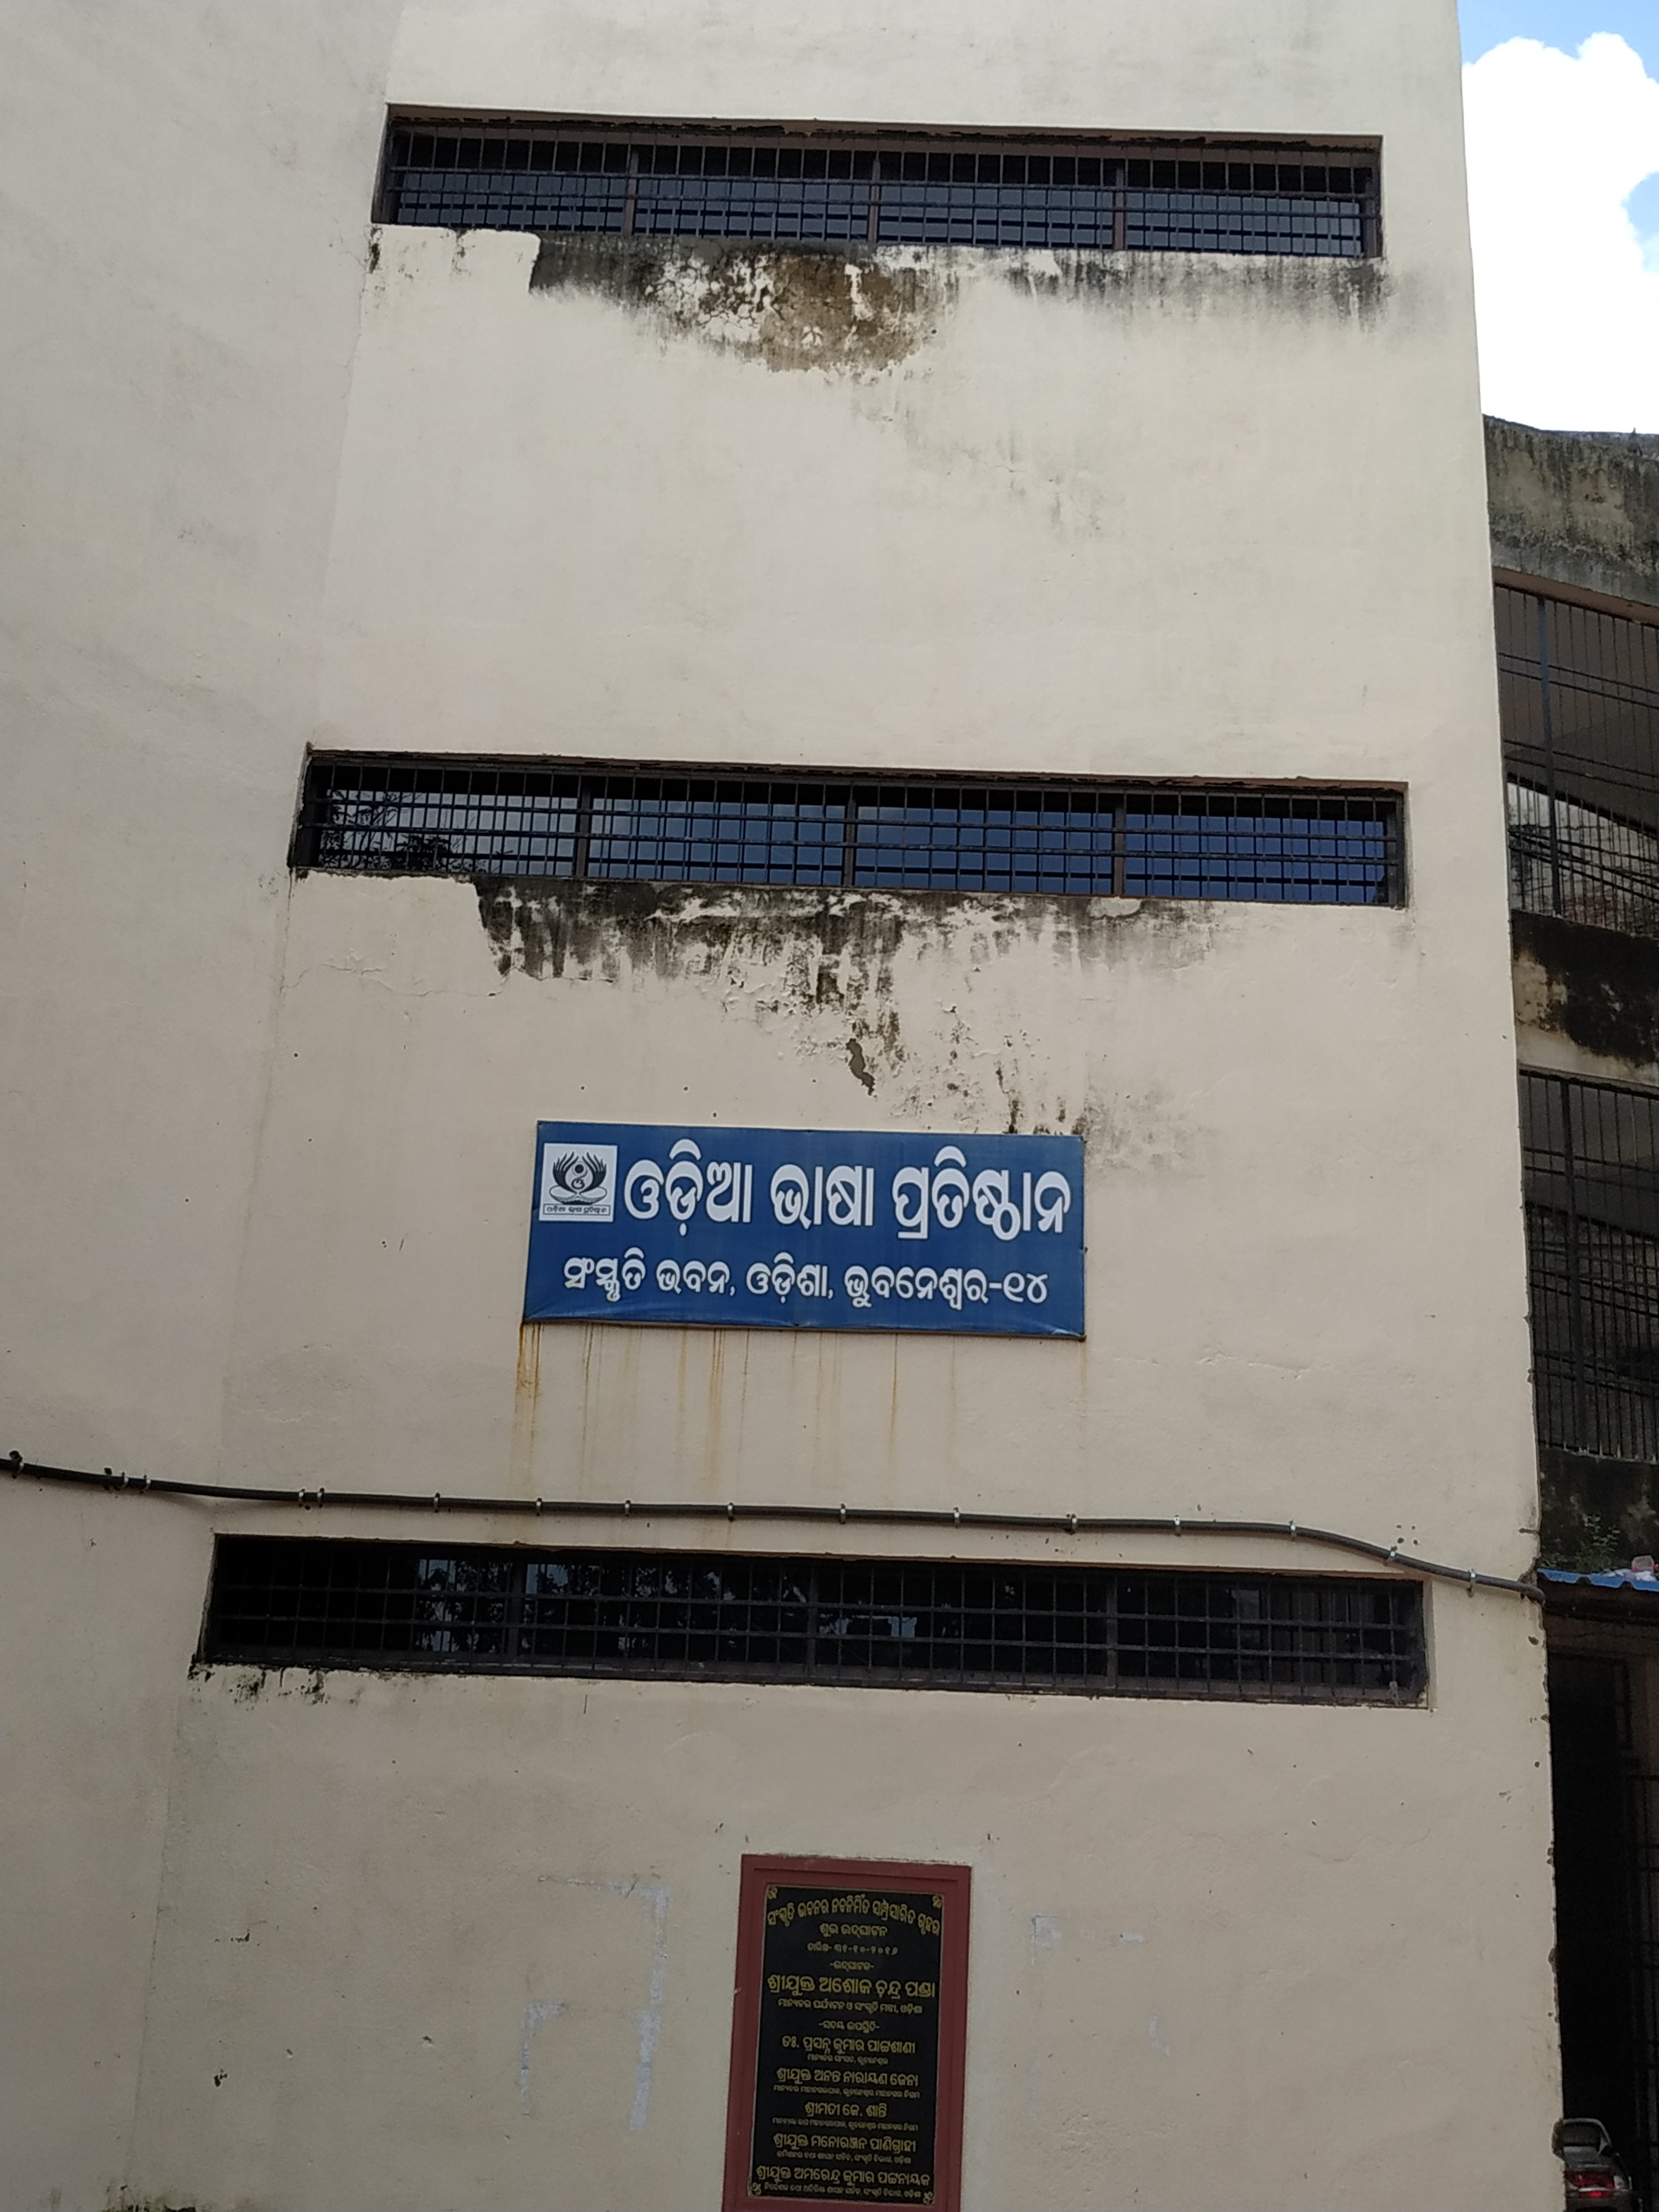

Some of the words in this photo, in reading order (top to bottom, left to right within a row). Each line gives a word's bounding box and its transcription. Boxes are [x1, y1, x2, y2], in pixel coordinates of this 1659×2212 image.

[617, 1128, 757, 1240] ଓଡ଼ିଆ
[762, 1153, 884, 1233] ଭାଷା
[886, 1136, 1077, 1245] ପ୍ରତିଷ୍ଠାନ
[552, 1246, 649, 1302] ସଂସ୍କୃତି
[647, 1251, 735, 1298] ଭବନ,
[737, 1251, 836, 1307] ଓଡ଼ିଆ ,
[838, 1260, 994, 1311] ଭୁବନେଶ୍ବର-
[994, 1264, 1060, 1311] -୧୪
[764, 1897, 799, 1929] ସଂସ୍କୃତି
[796, 1896, 832, 1919] ଭବନର
[818, 1919, 841, 1942] ଶୁଭ
[830, 1891, 874, 1916] ନବନିର୍ମିତ
[837, 1919, 891, 1940] ଉଦ୍‌ଘାଟନ
[869, 1896, 921, 1927] ସମ୍ପ୍ରସାରିତ
[914, 1910, 945, 1939] ଗୃହତ
[850, 1940, 901, 1959] ୧୦-୨୦୧୭
[766, 1970, 820, 2000] ଶ୍ରୀଯୁକ୍ତ
[775, 1995, 813, 2009] ମାନ୍ୟବର
[811, 1997, 848, 2012] ପର୍ଯ୍ୟଟନ
[815, 1974, 875, 1997] ଅଶୋନ
[874, 1976, 909, 2002] ଚନ୍ଦ୍ର
[873, 2000, 925, 2016] / ମନ୍ତ୍ରୀ, ଓଡ଼ିଶା
[901, 1980, 937, 2002] ପଣ୍ଡା
[778, 2032, 804, 2053] ତଃ.
[801, 2033, 866, 2056] ପ୍ରସନ୍ନ କୁମାର
[865, 2036, 917, 2056] ପାଟ୍ଟଶାଣୀ
[774, 2065, 816, 2088] ଶ୍ରୀଯୁକ୍ତ
[813, 2064, 843, 2084] ଅନନ୍ତ
[839, 2067, 891, 2088] ନାରାୟଣ
[886, 2069, 921, 2090] ଜେନା
[802, 2098, 864, 2121] ଶ୍ରୀମତୀ କେ.
[862, 2101, 889, 2122] ଣାଚି
[770, 2127, 810, 2153] ଶ୍ରୀଯୁକ୍ତ
[808, 2131, 869, 2152] ମନୋରଞ୍ଜନ
[865, 2133, 919, 2156] ପାଣିଗ୍ରାହୀ
[755, 2161, 794, 2185] ଶ୍ରୀଯୁକ୍ତ
[791, 2164, 843, 2188] ଅମରେନ୍ଦ୍ର
[841, 2167, 877, 2189] କୁମାର
[874, 2168, 933, 2188] ପଟ୍ଟନାୟକ